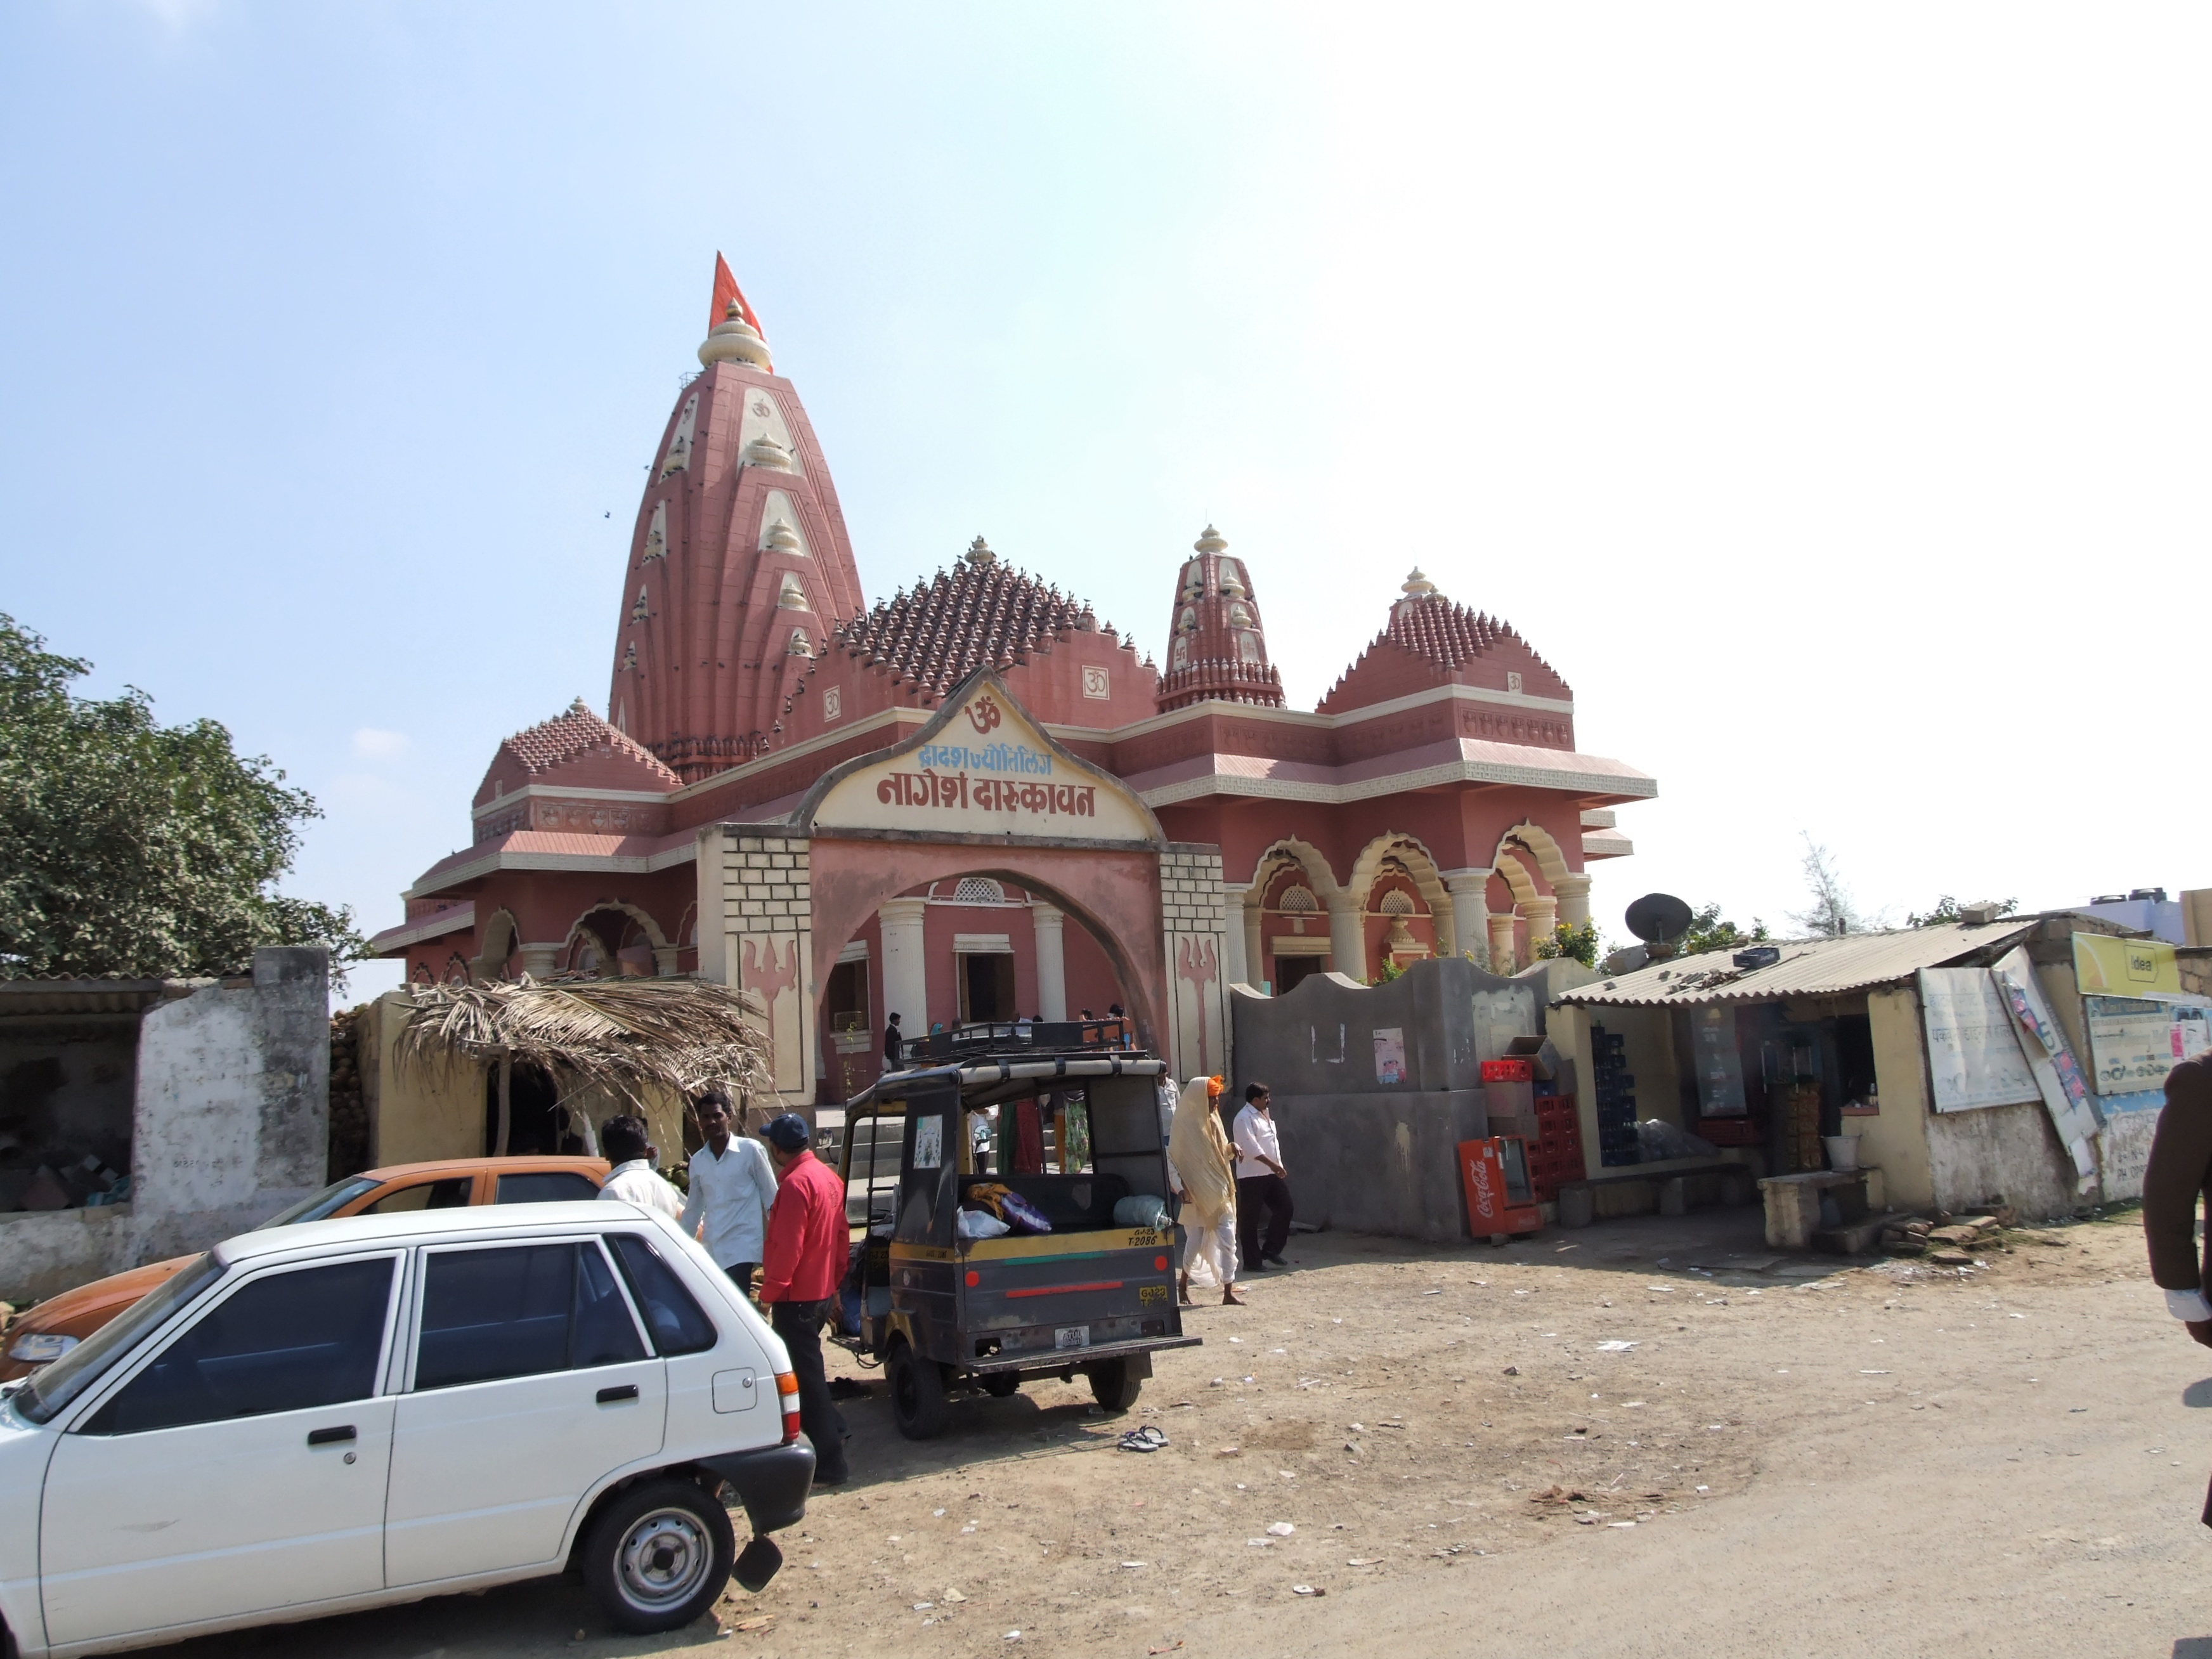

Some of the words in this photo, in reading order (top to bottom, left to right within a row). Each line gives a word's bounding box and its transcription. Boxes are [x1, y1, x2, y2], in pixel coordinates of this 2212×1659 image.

[1083, 668, 1108, 696] ॐ
[823, 689, 840, 718] ॐ
[962, 691, 1006, 740] ॐ
[916, 743, 970, 771] द्वादश
[968, 741, 1055, 779] ज्योतिर्लिंग
[871, 767, 971, 810] नागेशं
[968, 775, 1100, 818] दारुकावन
[2127, 945, 2159, 979] idea
[1461, 1154, 1500, 1223] CocaCola